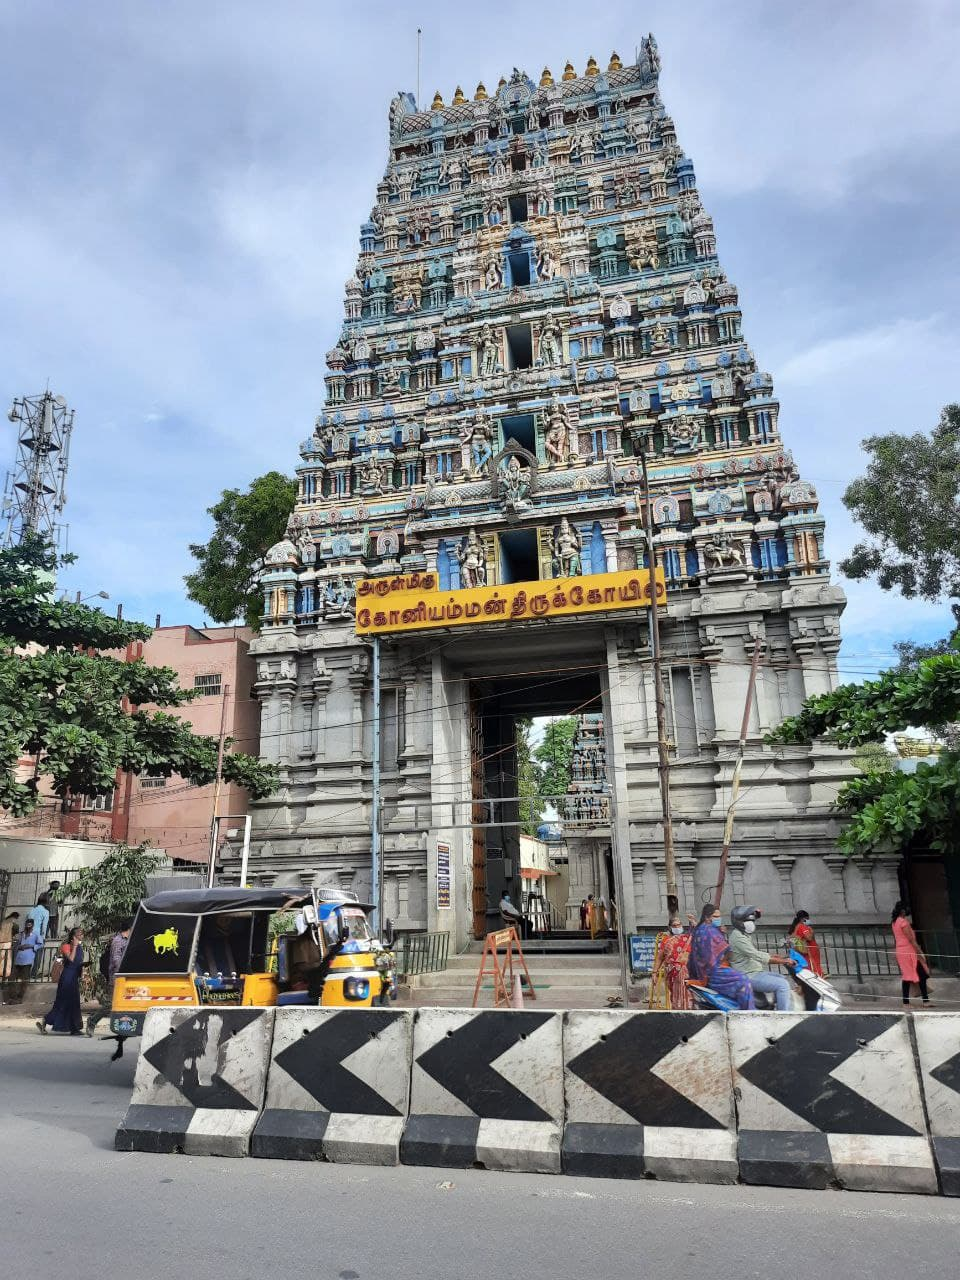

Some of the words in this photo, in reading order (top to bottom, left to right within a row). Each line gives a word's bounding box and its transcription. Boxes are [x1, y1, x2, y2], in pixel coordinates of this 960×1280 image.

[349, 564, 442, 602] அஞள்மிகு
[351, 591, 511, 631] கோனியம்மன்
[503, 571, 669, 621] திருக்கோயில்